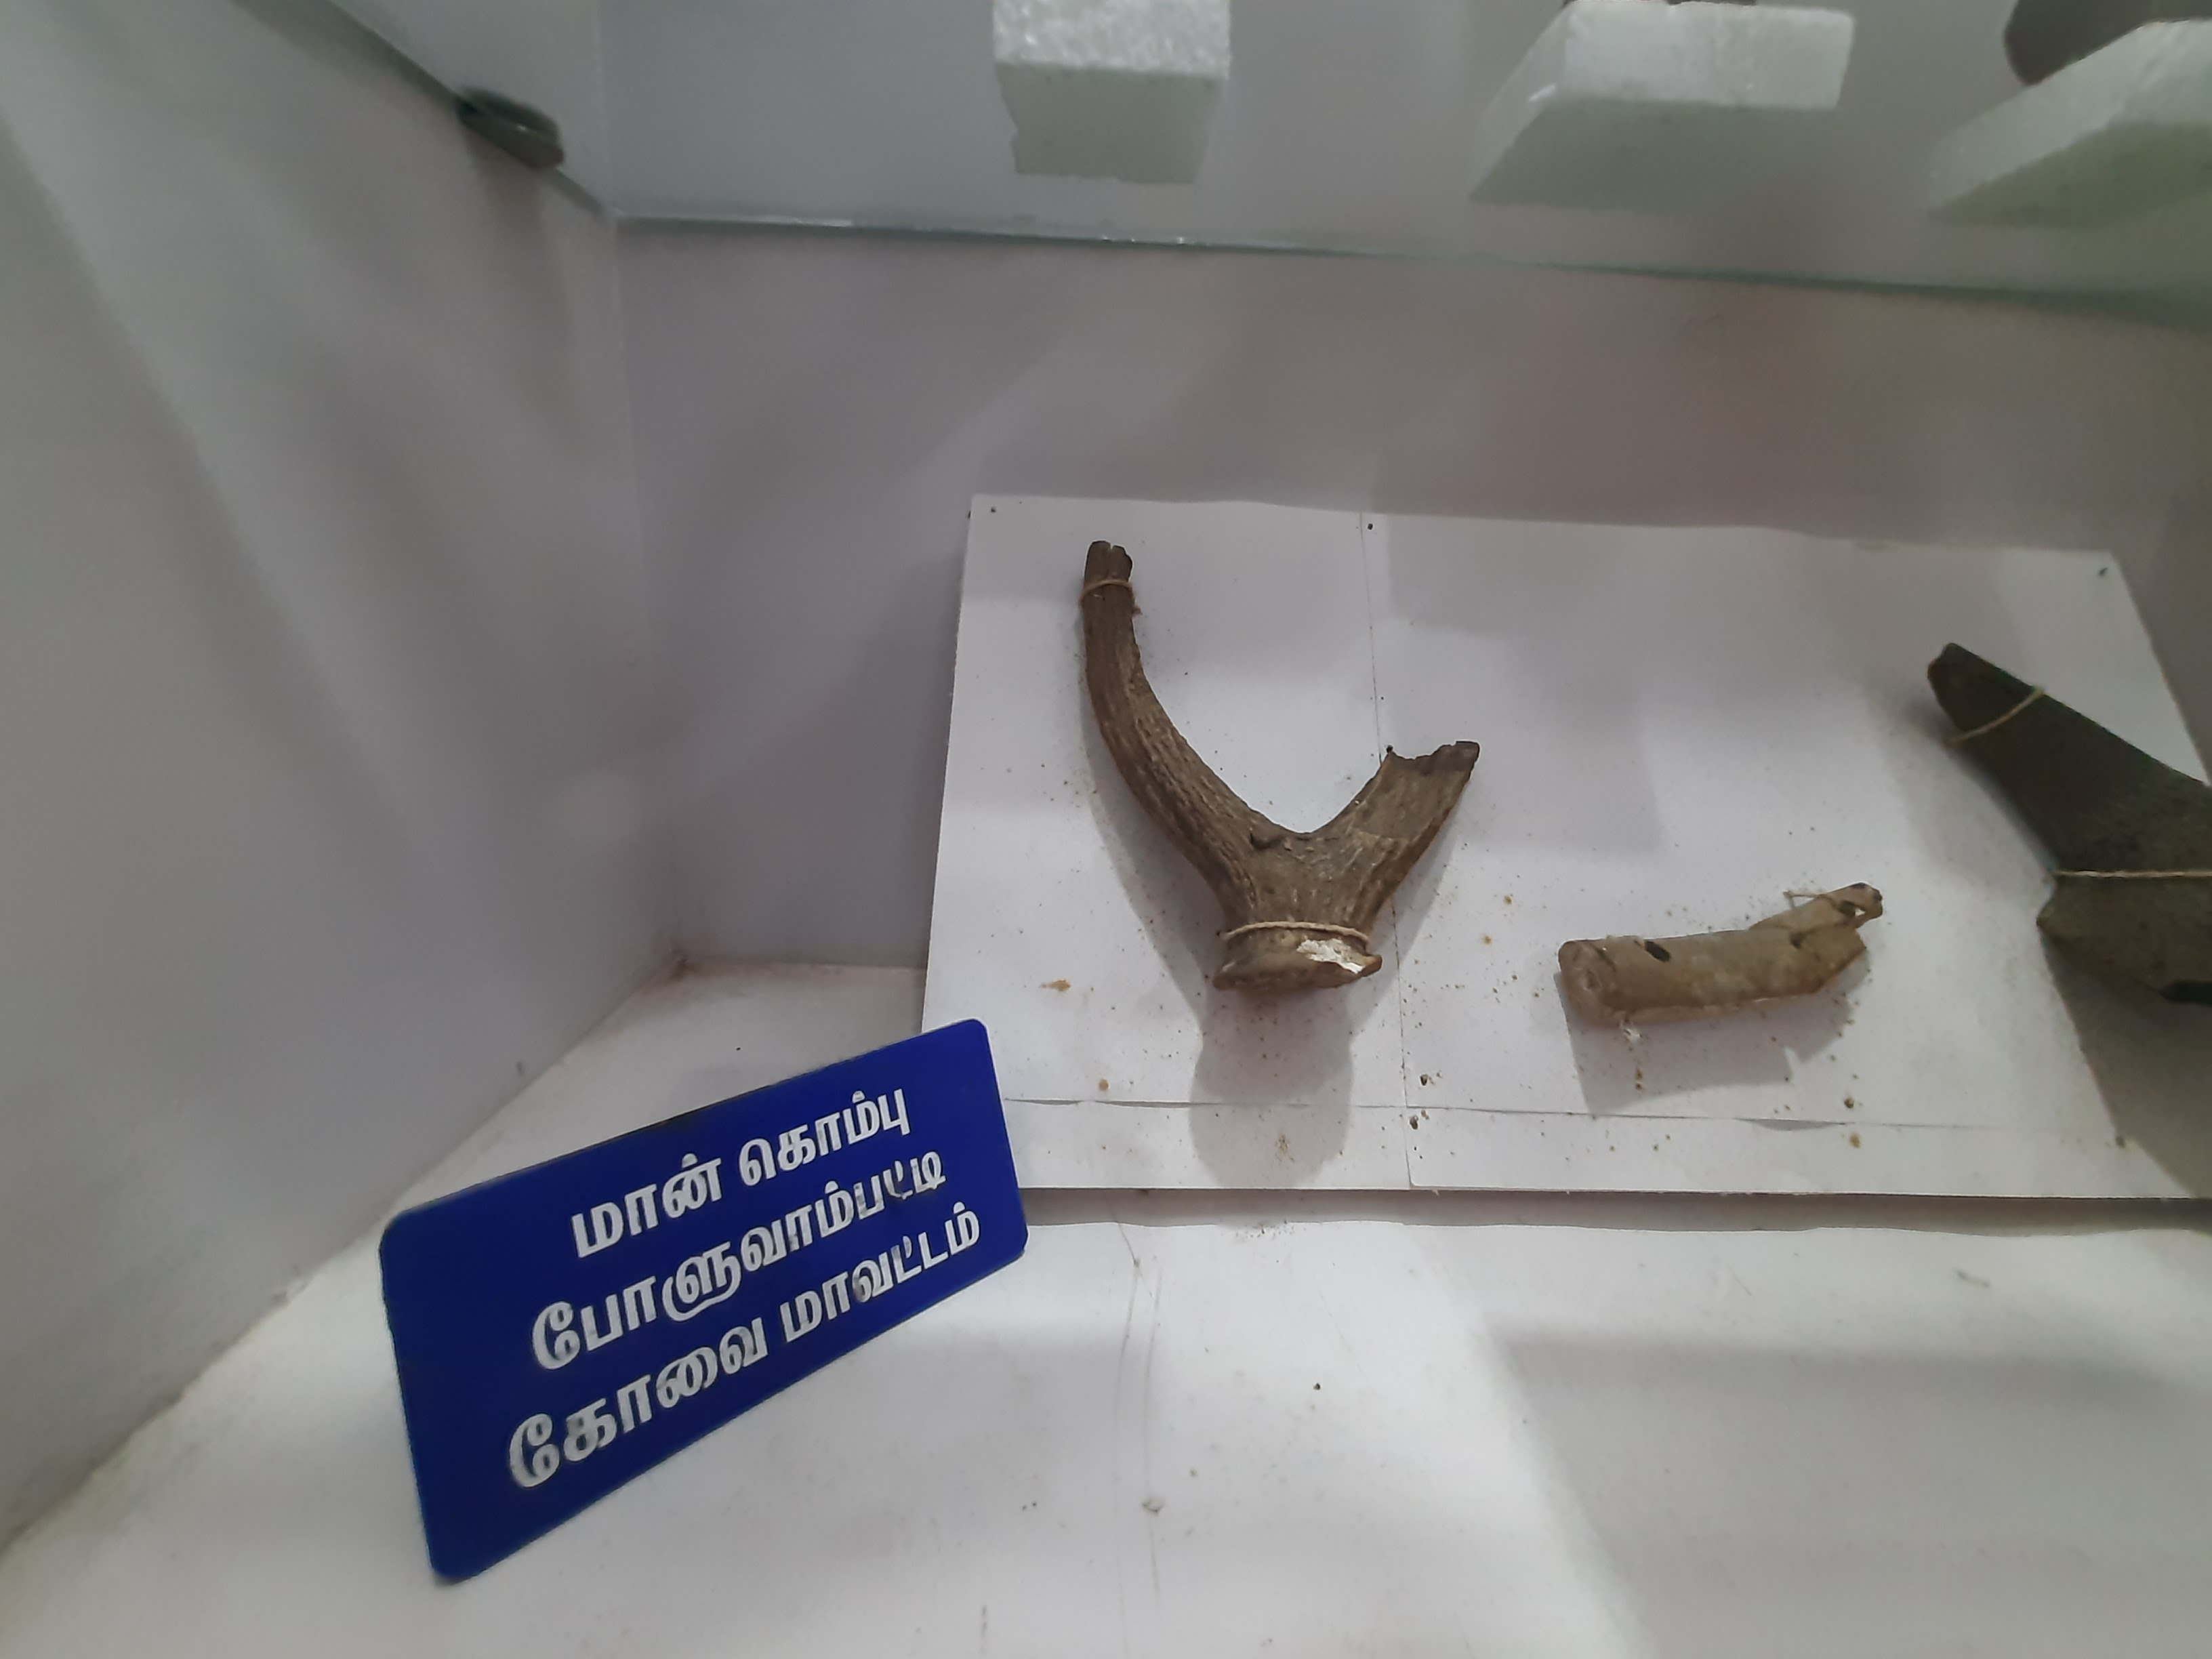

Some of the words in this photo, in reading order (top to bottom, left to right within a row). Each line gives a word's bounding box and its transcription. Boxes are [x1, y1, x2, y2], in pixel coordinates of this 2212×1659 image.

[562, 1145, 731, 1265] மான்
[524, 1147, 951, 1380] போளுவாம்பட்டி
[731, 1081, 912, 1191] கொம்பு
[777, 1193, 983, 1352] மாவட்டம்
[499, 1311, 774, 1496] கோவை